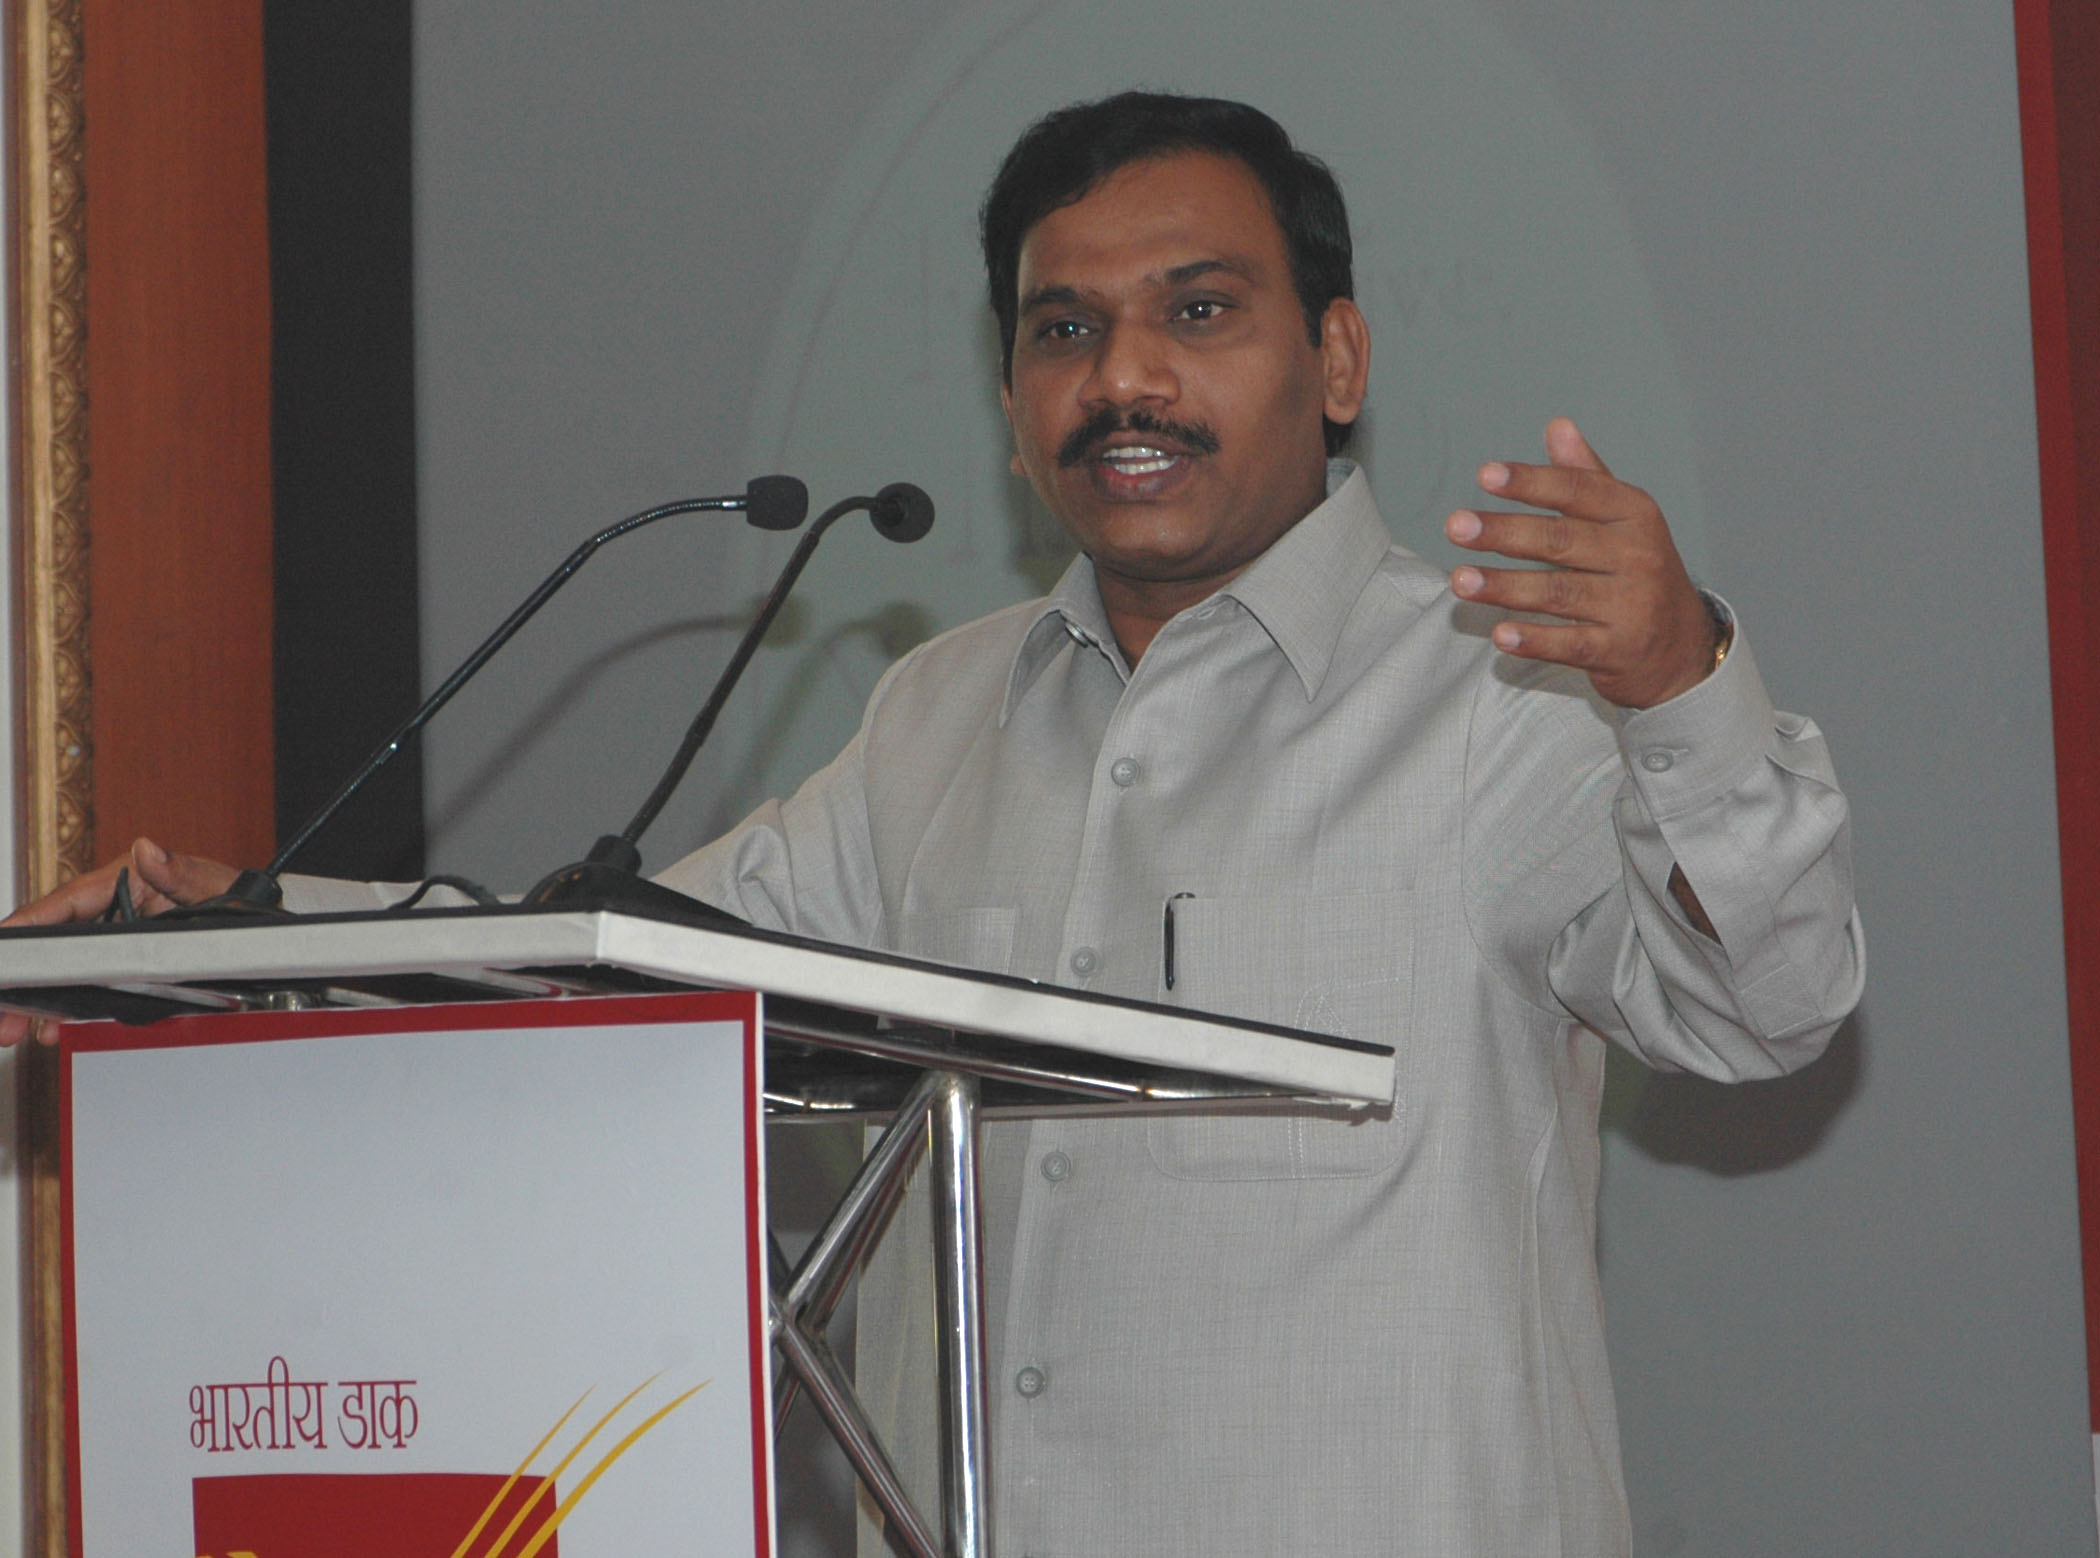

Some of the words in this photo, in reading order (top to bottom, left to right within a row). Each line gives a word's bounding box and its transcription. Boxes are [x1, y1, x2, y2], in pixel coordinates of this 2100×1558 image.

[172, 1353, 334, 1465] भारतीय
[328, 1372, 433, 1459] डाक